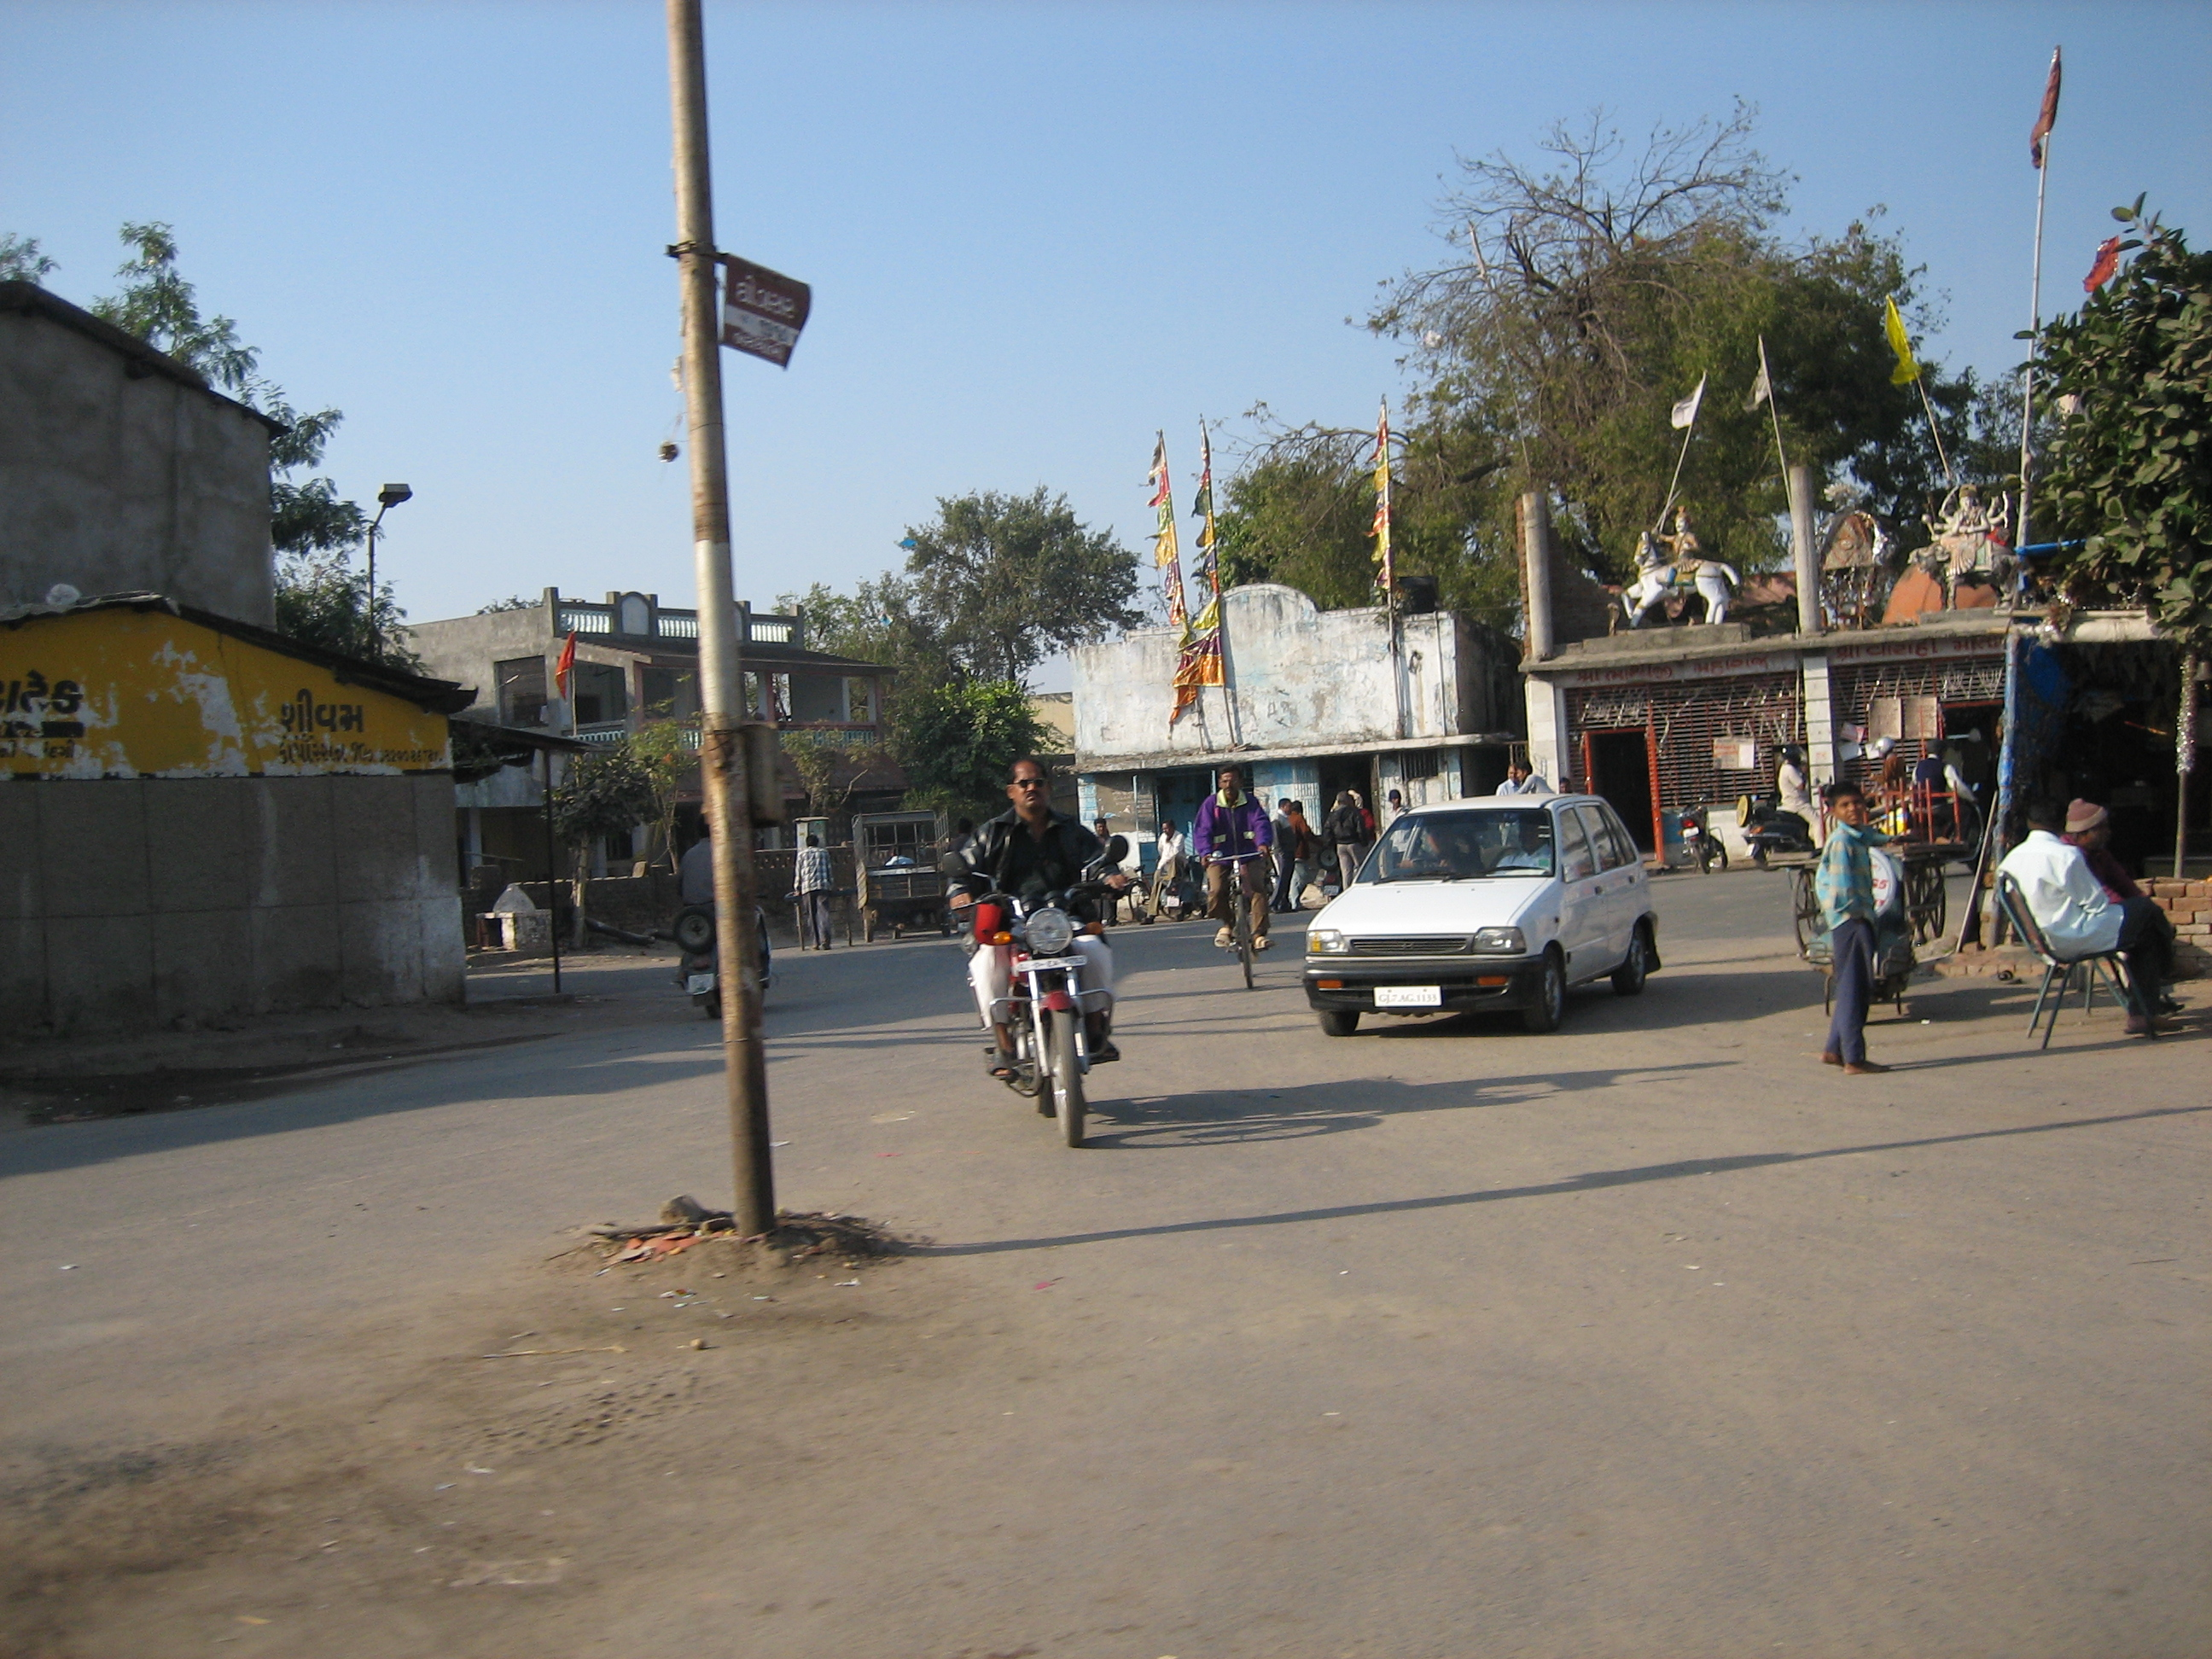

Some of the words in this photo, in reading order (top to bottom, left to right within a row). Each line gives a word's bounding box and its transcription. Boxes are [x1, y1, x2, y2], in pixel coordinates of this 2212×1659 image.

[274, 692, 364, 737] શીવમ